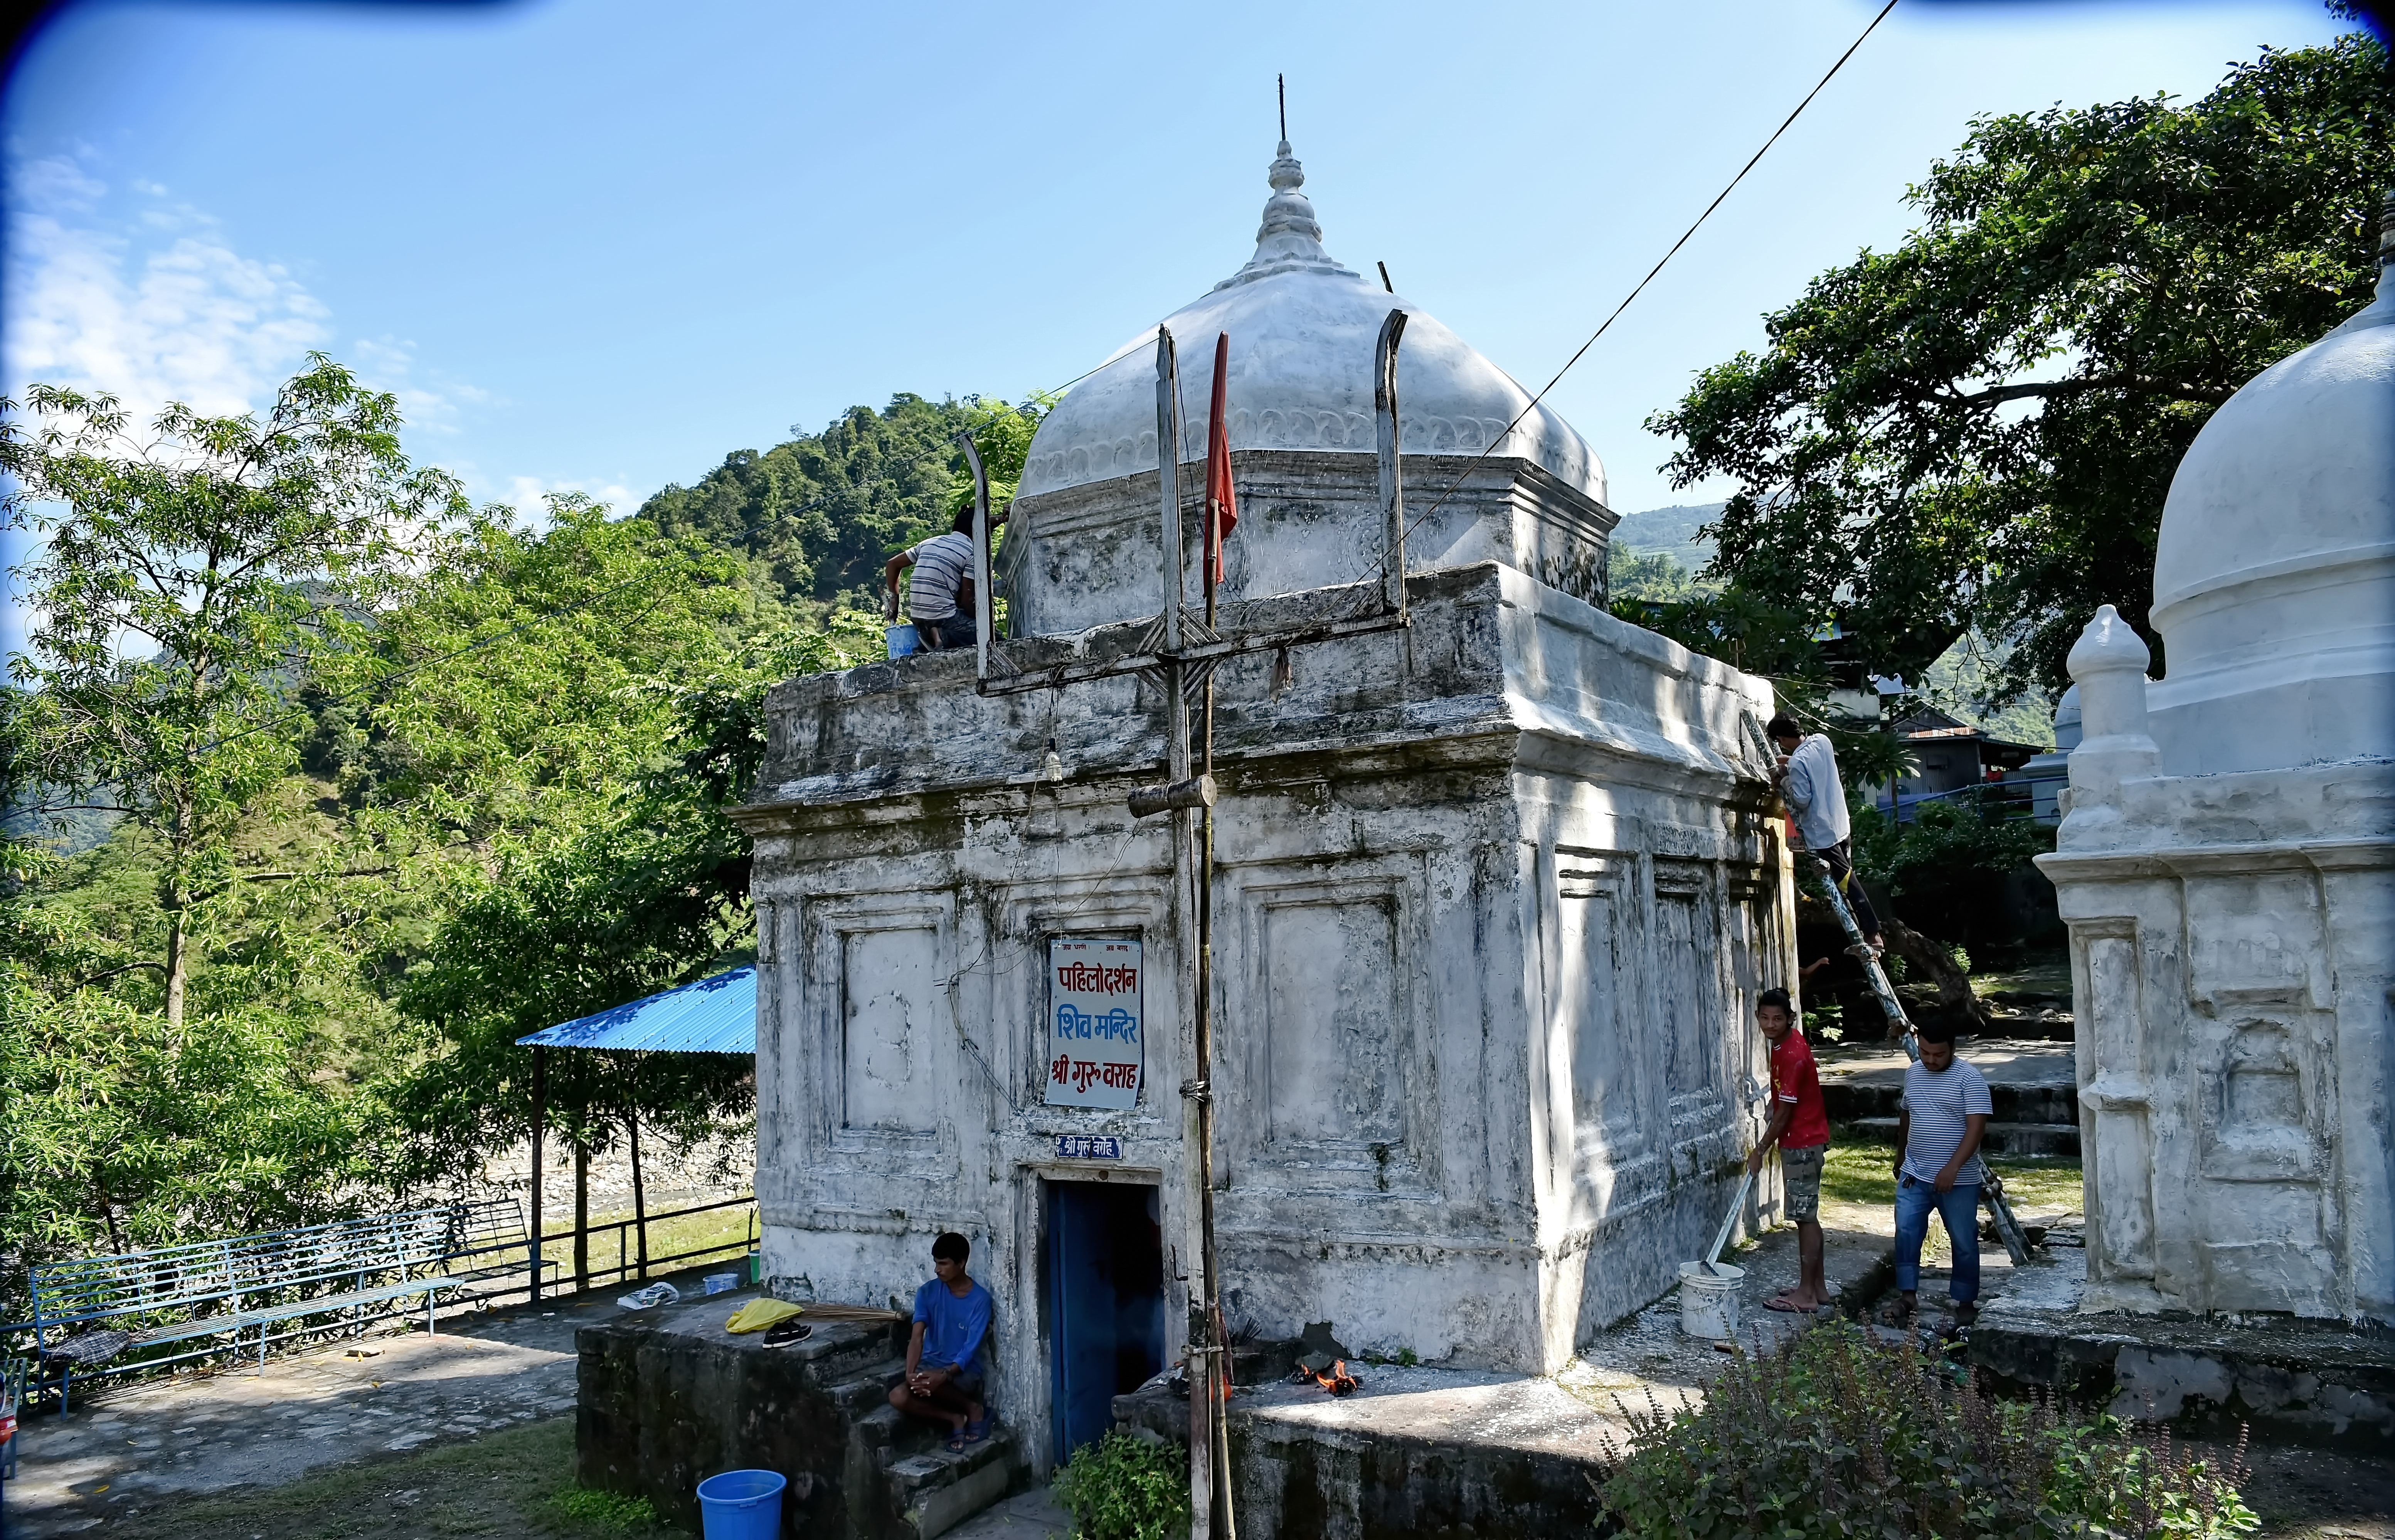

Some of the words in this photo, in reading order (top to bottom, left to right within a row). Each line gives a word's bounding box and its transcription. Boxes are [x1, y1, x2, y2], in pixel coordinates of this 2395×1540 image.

[1057, 959, 1137, 996] पहिलोदर्शन
[1056, 1002, 1138, 1044] शिव मन्दिर
[1050, 1052, 1070, 1085] श्री
[1070, 1059, 1102, 1095] गुरू
[1100, 1060, 1139, 1093] वराह
[1064, 1133, 1078, 1156] श्री
[1074, 1140, 1091, 1158] गुरू
[1092, 1140, 1114, 1159] वरोह,